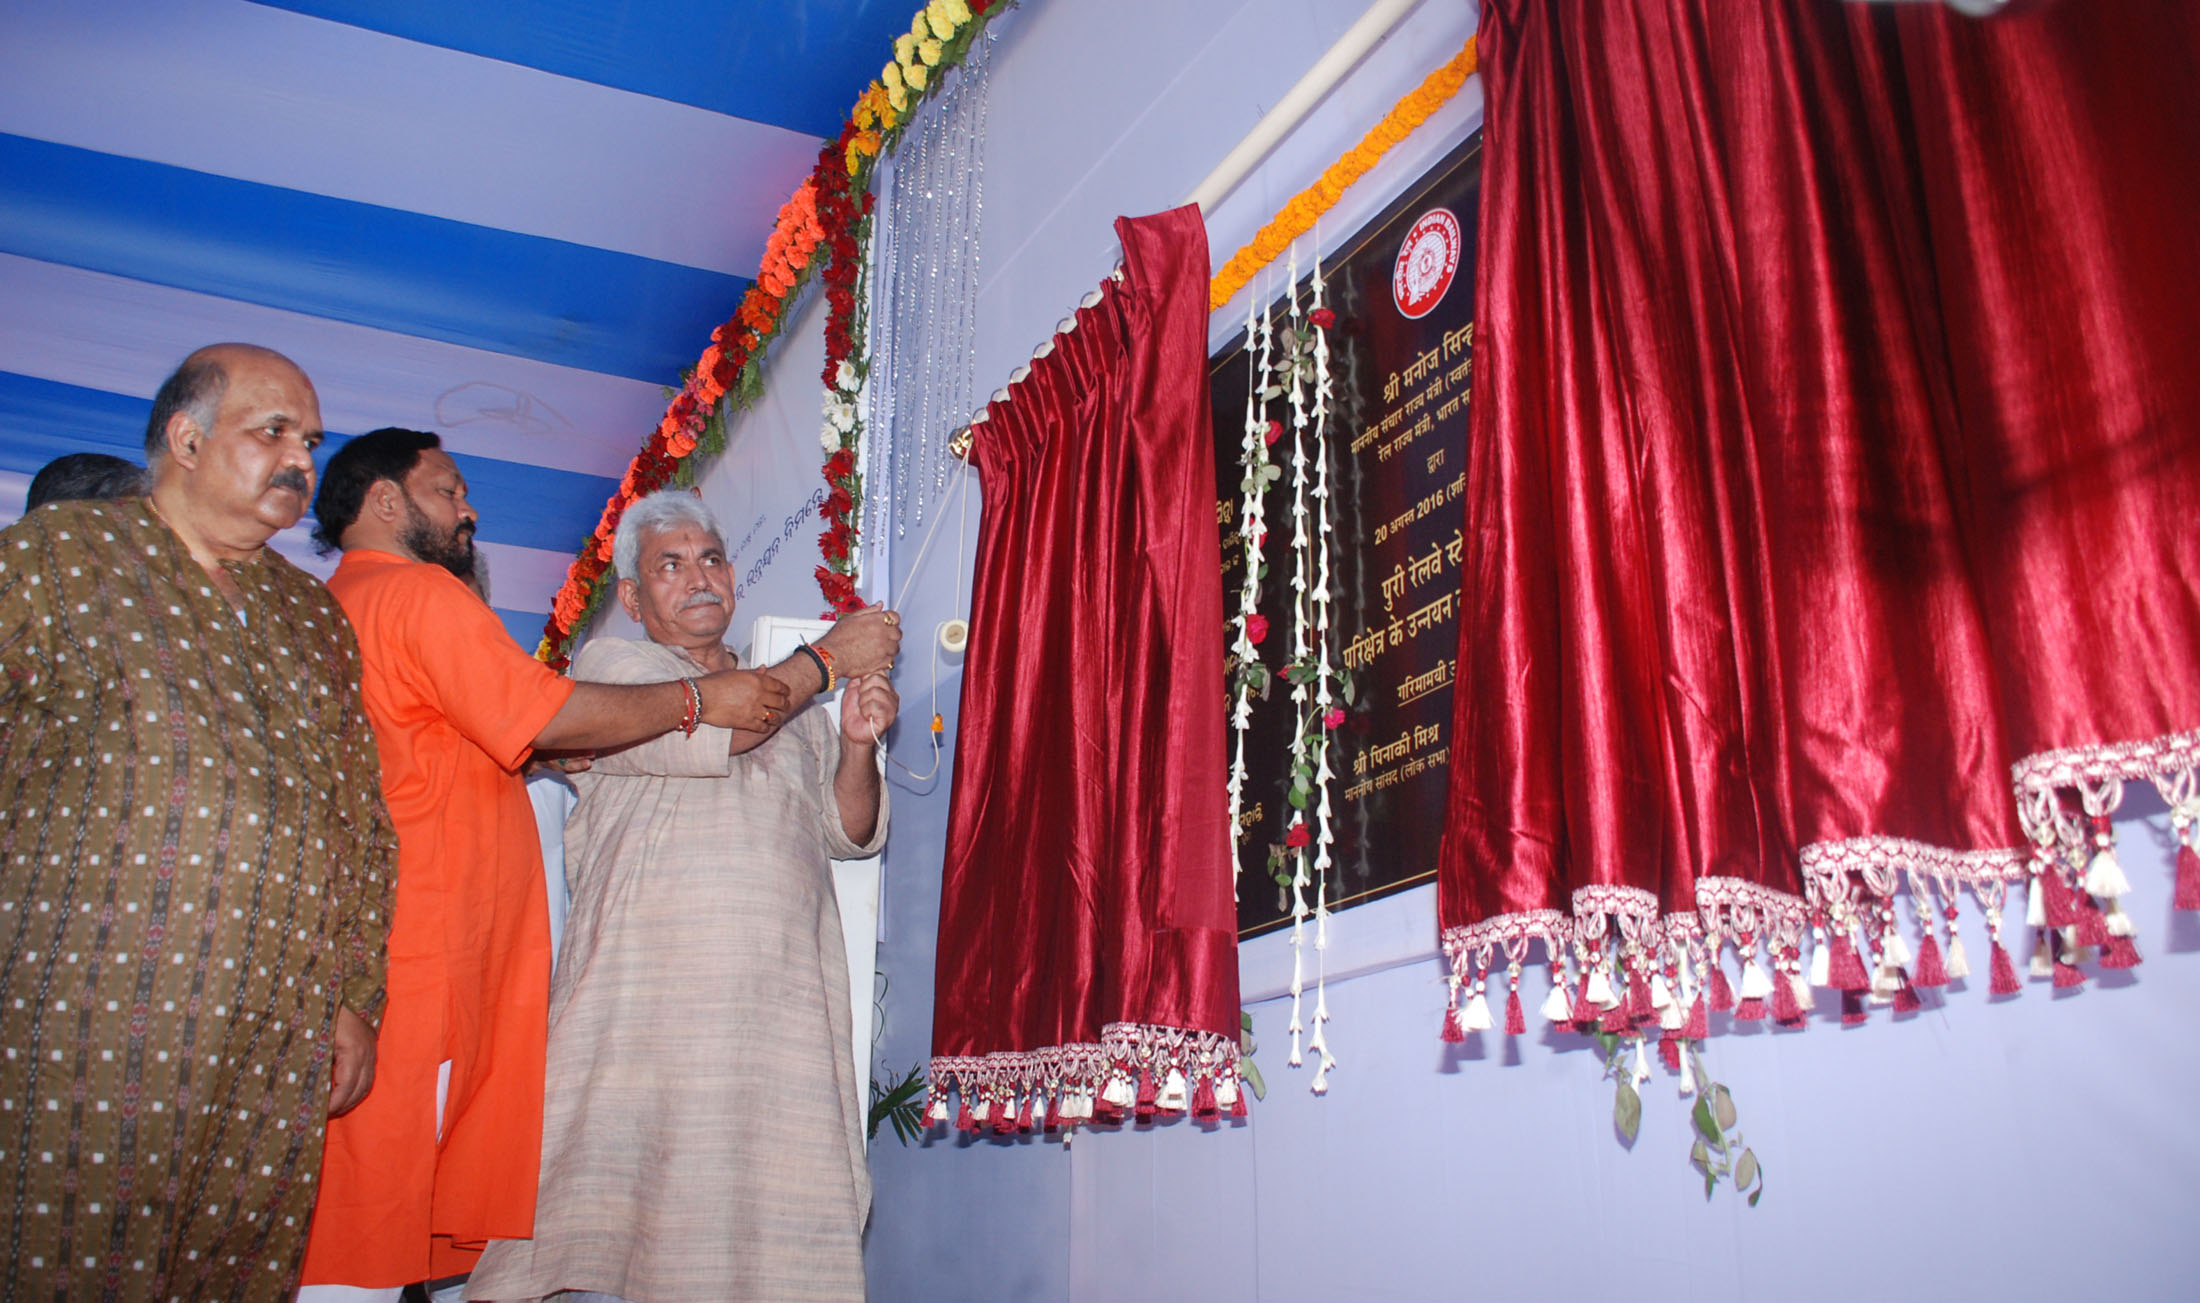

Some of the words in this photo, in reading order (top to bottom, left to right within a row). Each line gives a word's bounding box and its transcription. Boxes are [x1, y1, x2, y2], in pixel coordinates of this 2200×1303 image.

[1437, 313, 1482, 365] सिन्ह
[1344, 419, 1383, 458] माननीय
[1371, 440, 1396, 470] रेल
[1375, 366, 1403, 406] श्री
[1374, 403, 1409, 440] संचार
[1388, 423, 1417, 457] राज्य
[1395, 388, 1428, 421] राज्‍य
[1398, 340, 1447, 393] मनोज
[1410, 407, 1437, 444] मंत्री,
[1418, 370, 1446, 408] मंत्री
[1420, 442, 1449, 479] द्वारा
[1428, 390, 1464, 429] भारत
[1368, 518, 1390, 553] 20
[1385, 503, 1420, 542] अगस्त
[1408, 484, 1448, 526] 2016
[1400, 533, 1446, 596] रेलवे
[1373, 558, 1409, 614] पुरी
[1339, 619, 1389, 673] परिक्षेत्र
[1381, 605, 1408, 653] के
[1402, 590, 1453, 646] उन्नयन
[1390, 653, 1448, 703] गरिमामयी
[1345, 744, 1371, 778] श्री
[1341, 774, 1376, 809] माननीय
[1371, 765, 1403, 797] सांसद
[1364, 725, 1413, 773] पिनाकी
[1398, 751, 1430, 786] लोक
[1406, 720, 1443, 754] मि‍श्र
[1425, 745, 1448, 774] सभा